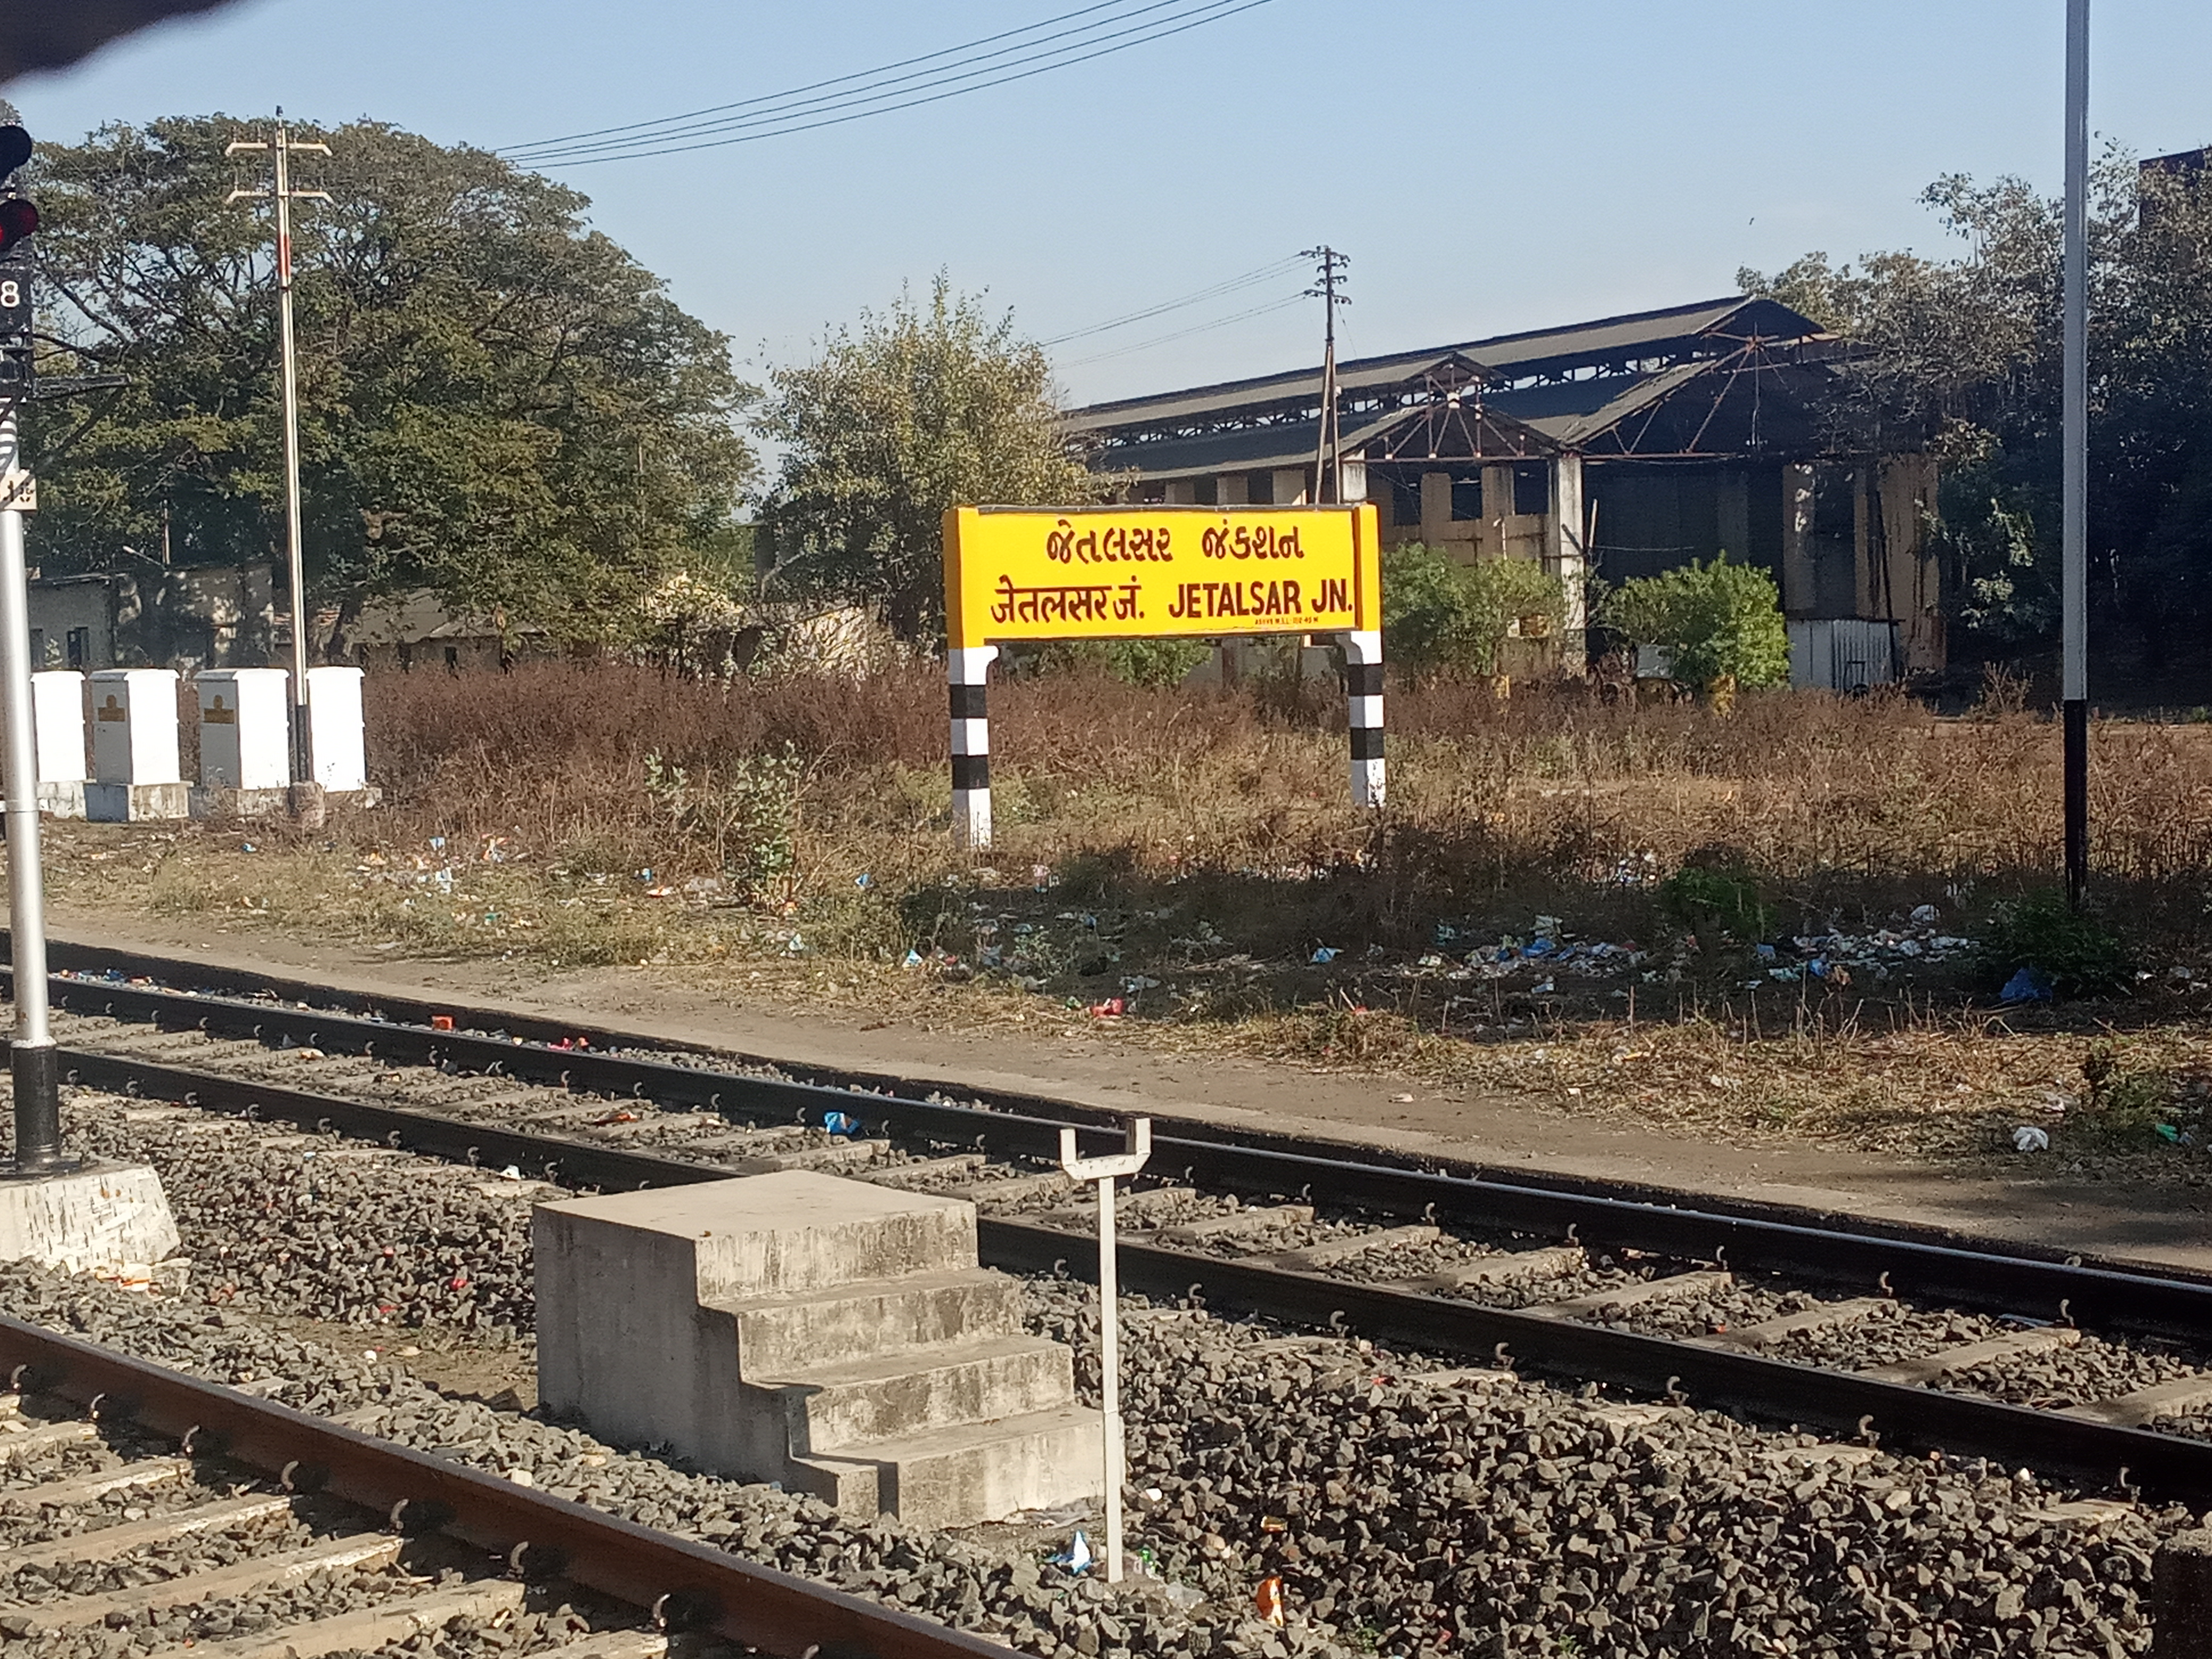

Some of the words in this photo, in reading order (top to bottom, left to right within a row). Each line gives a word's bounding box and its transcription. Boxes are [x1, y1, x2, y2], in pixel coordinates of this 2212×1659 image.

[0, 273, 26, 316] 8
[1039, 513, 1180, 568] જેતલસ૨
[1189, 515, 1311, 562] જંકશન
[984, 572, 1153, 631] जेतलसरजं
[1162, 570, 1304, 624] JETALSAR
[1300, 568, 1358, 622] JN.